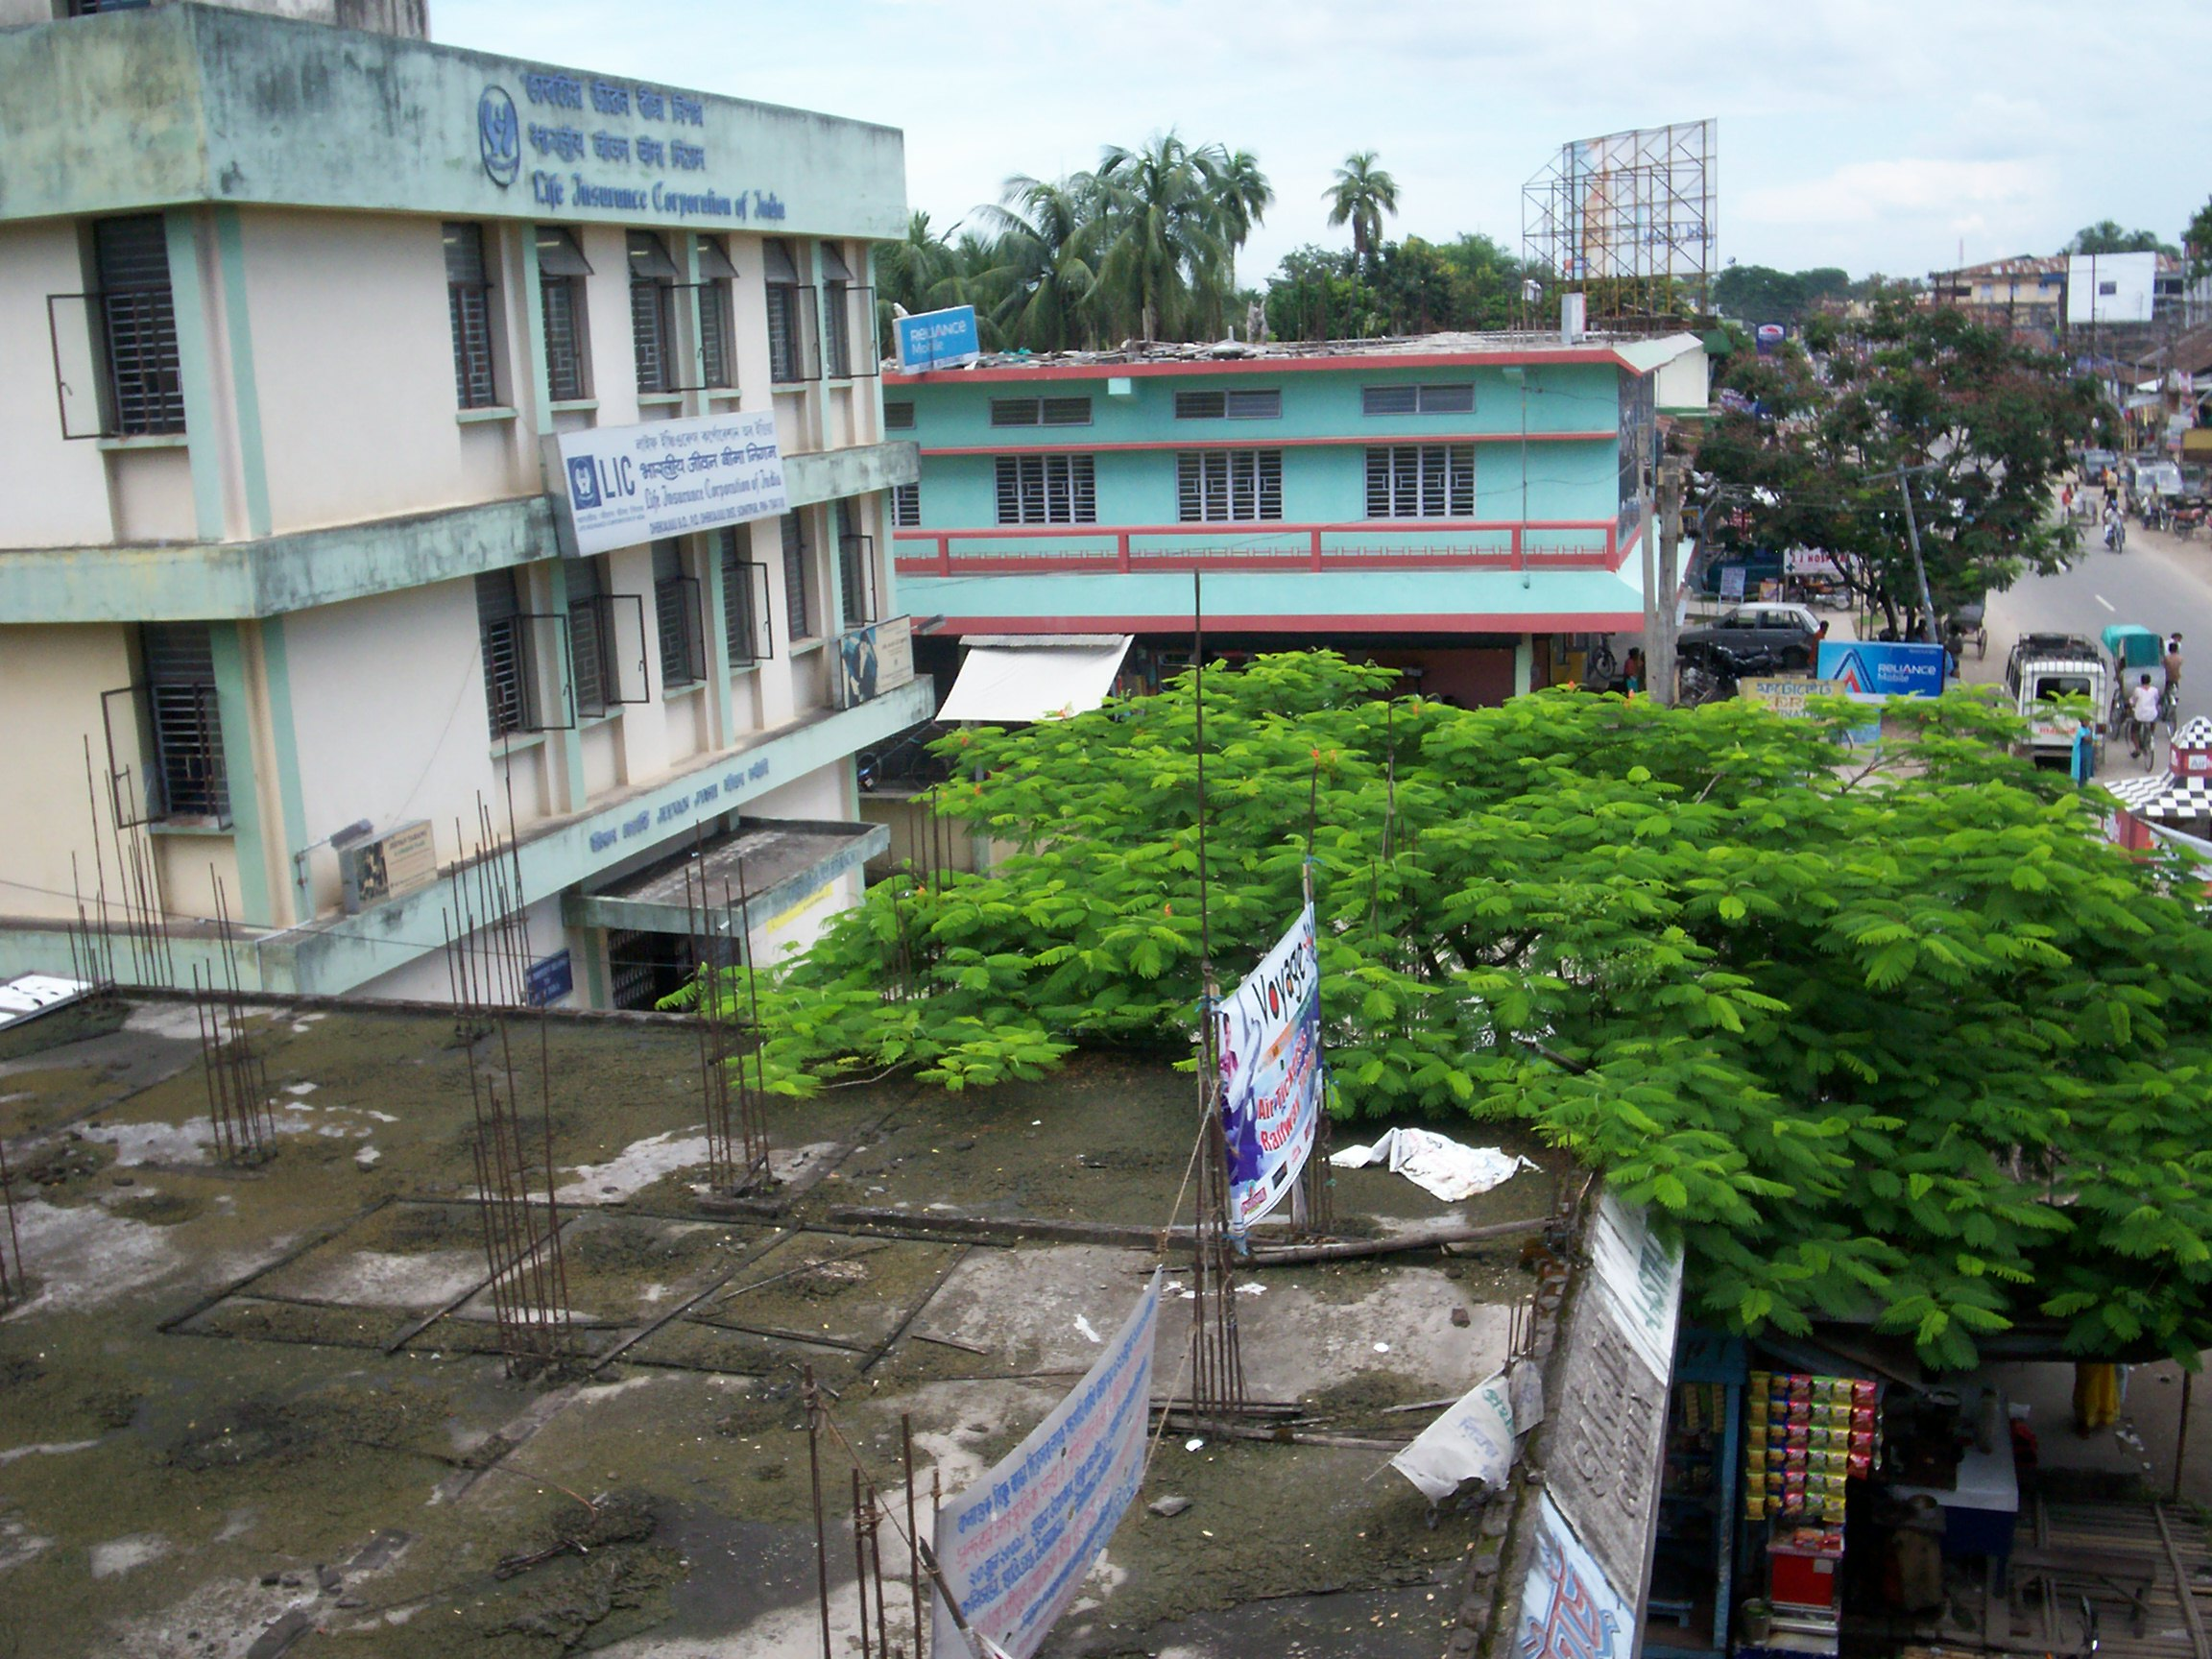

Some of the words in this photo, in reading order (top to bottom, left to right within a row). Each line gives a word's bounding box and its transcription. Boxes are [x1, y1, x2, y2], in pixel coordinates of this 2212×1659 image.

[524, 117, 589, 169] भारतीय
[590, 122, 638, 167] जीवन
[528, 162, 572, 214] Life
[565, 175, 654, 214] Insurance
[644, 179, 736, 222] Corporation
[731, 185, 757, 225] of
[752, 189, 795, 228] India
[907, 315, 973, 346] RELIANCE
[593, 450, 643, 504] LIC
[639, 448, 690, 488] भारतीय
[683, 446, 725, 480] जीवन
[714, 440, 754, 473] बीमा
[736, 437, 784, 469] निगम